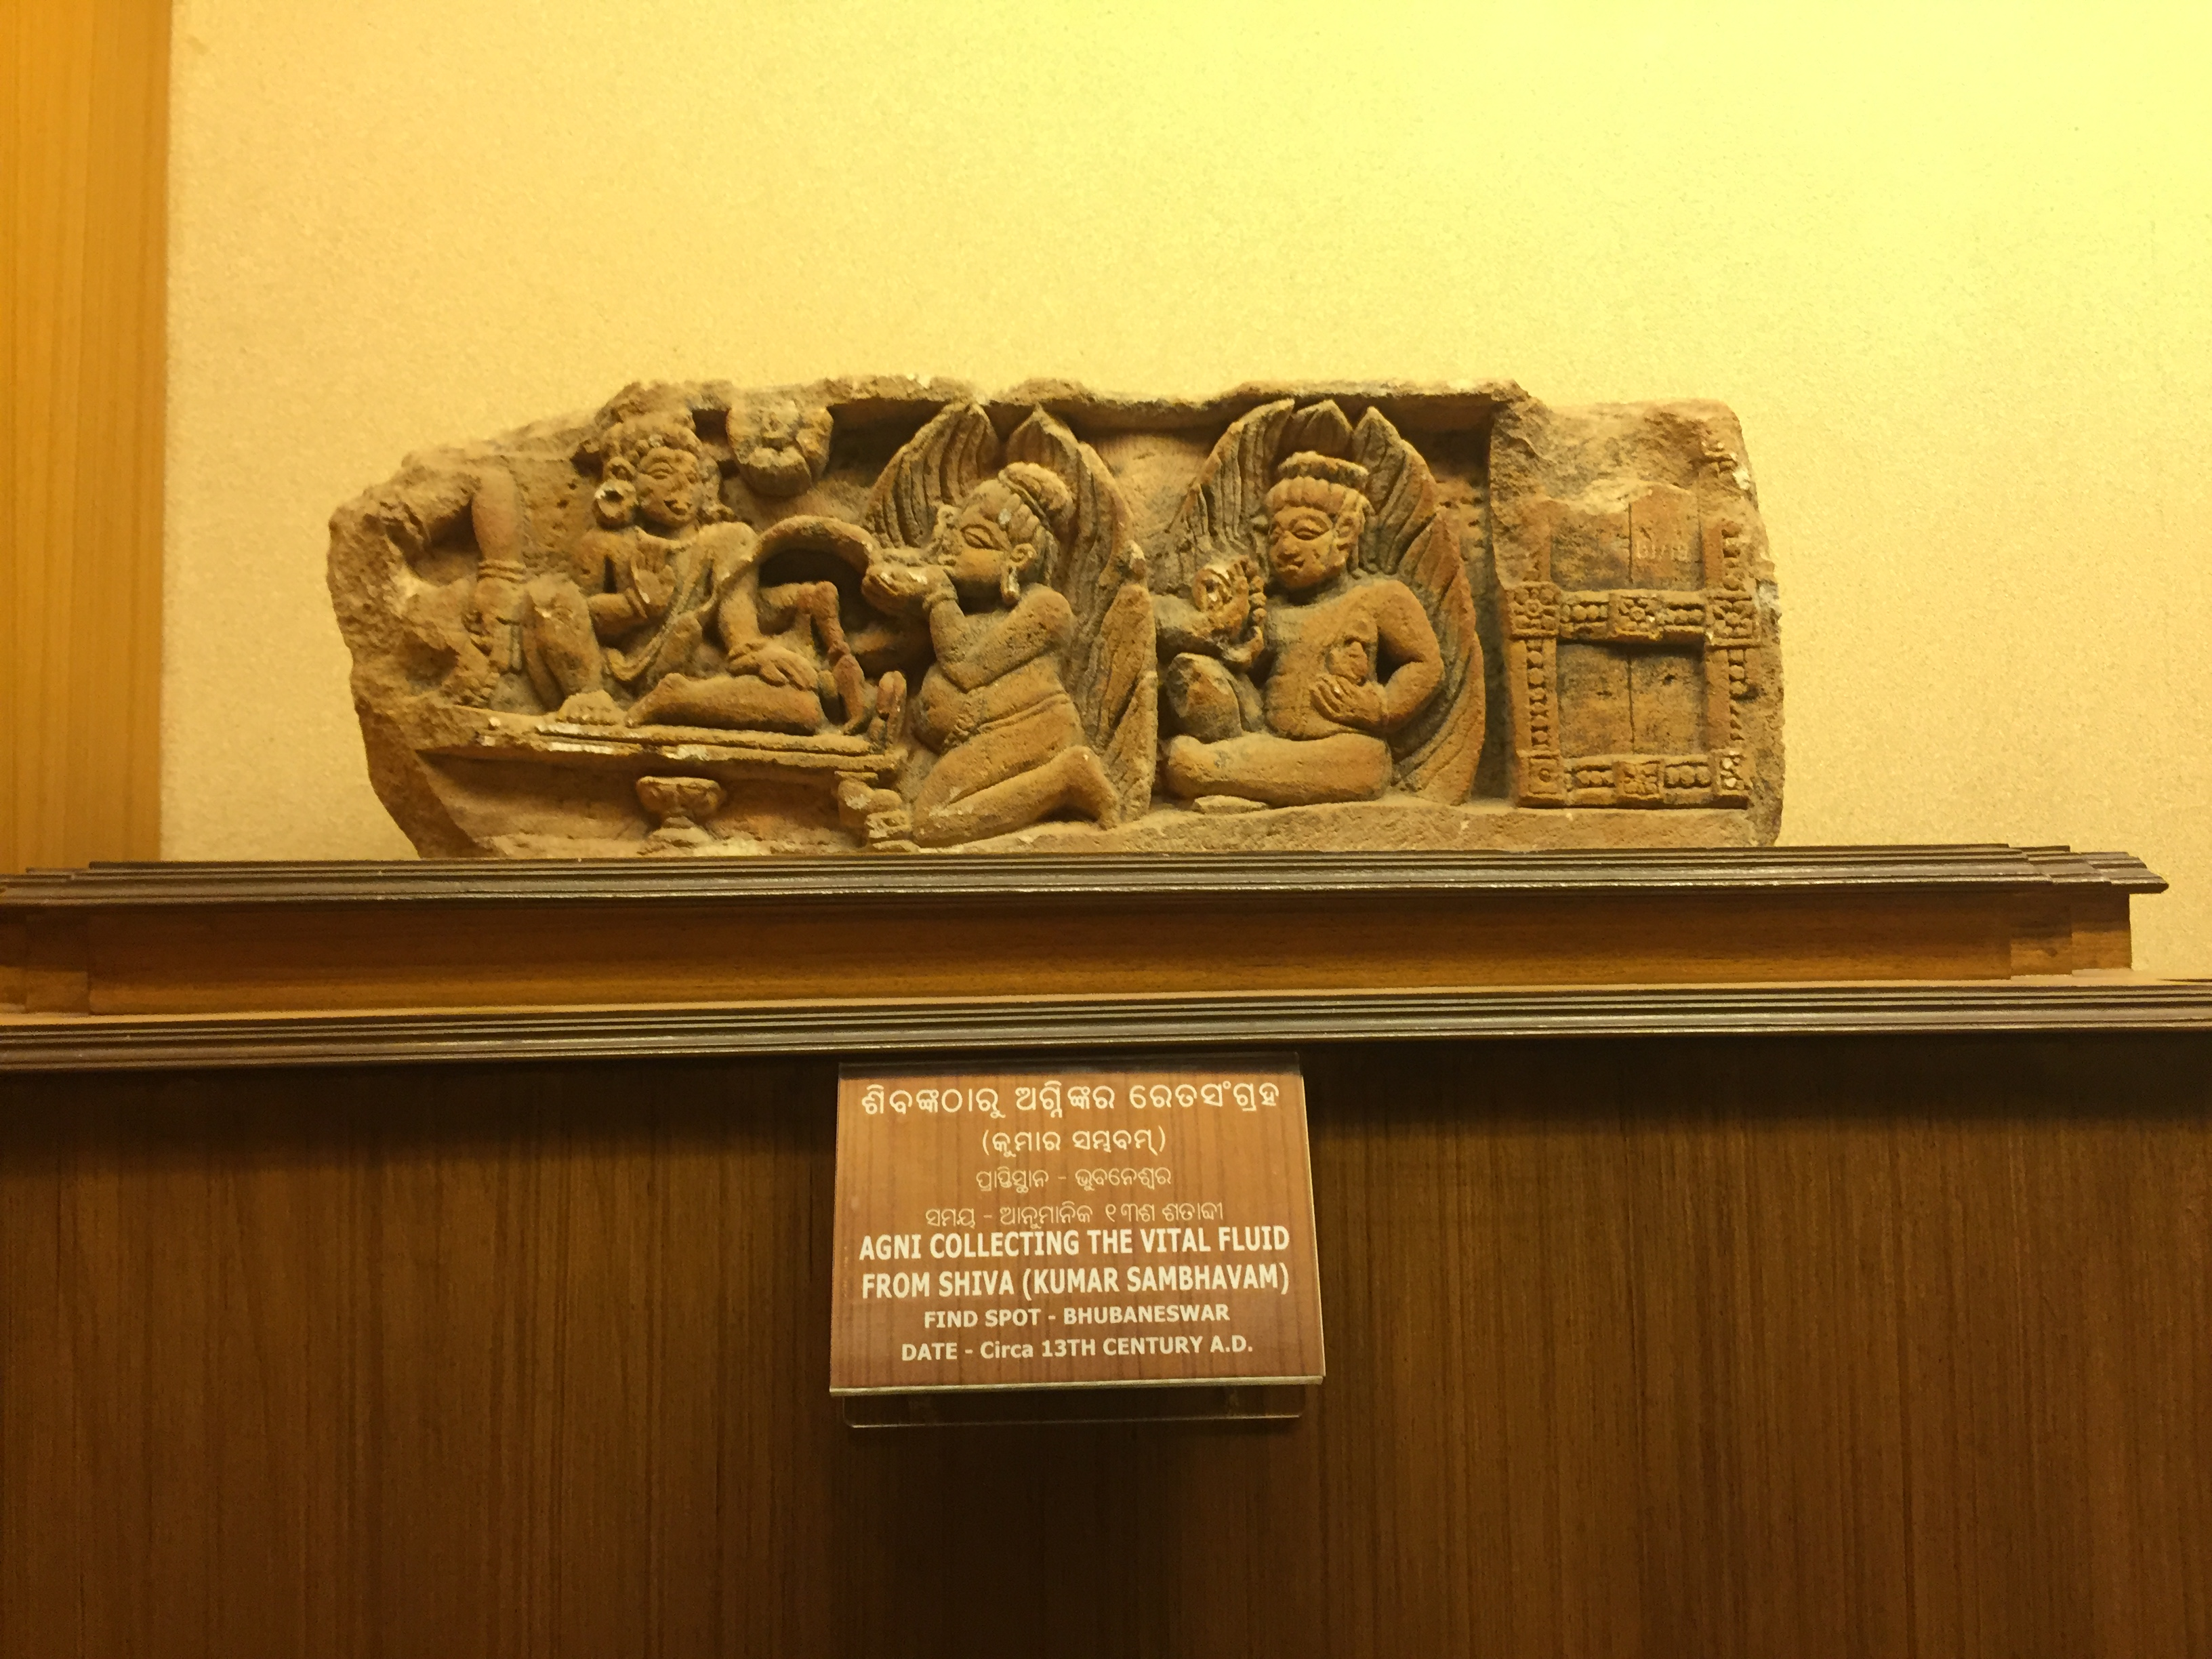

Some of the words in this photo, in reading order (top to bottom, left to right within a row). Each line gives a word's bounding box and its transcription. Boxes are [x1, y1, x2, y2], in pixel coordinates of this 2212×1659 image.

[855, 1077, 1009, 1122] ଶିବଙ୍କଠାରୁ
[1010, 1077, 1067, 1120] ଅଗ୍ନି
[1059, 1076, 1120, 1115] ଙ୍କର
[1124, 1077, 1282, 1116] ରେତସଂଗ୍ରହ
[989, 1126, 1064, 1160] କୁମାର
[1071, 1126, 1160, 1158] ସମ୍ଭବମ୍
[975, 1161, 1053, 1199] ପ୍ରାପ୍ତିସ୍ତାନ
[1072, 1162, 1175, 1195] ଭୁବନେଶ୍ଵର
[922, 1200, 977, 1231] ସମୟ
[996, 1195, 1096, 1233] ଆନୁମାନିକ
[1101, 1197, 1158, 1226] ୧୩ଶ
[1159, 1198, 1227, 1223] ଶତାବ୍ଦୀ
[856, 1230, 923, 1265] AGNI
[929, 1227, 1082, 1263] COLLECTING
[1082, 1226, 1135, 1256] THE
[1135, 1222, 1218, 1258] VITAL
[1215, 1219, 1293, 1253] FLUID
[861, 1265, 934, 1300] FROM
[936, 1265, 1017, 1299] SHIVA
[1033, 1264, 1120, 1296] KUMAR
[1126, 1261, 1279, 1296] SAMBHAVAM
[920, 1304, 979, 1332] FIND
[982, 1303, 1041, 1329] SPOT
[1061, 1302, 1231, 1327] BHUBANESWAR
[897, 1336, 961, 1366] DATE
[976, 1336, 1037, 1360] Circa
[1042, 1334, 1098, 1357] 13TH
[1100, 1329, 1203, 1359] CENTURY
[1207, 1328, 1255, 1356] A.D.